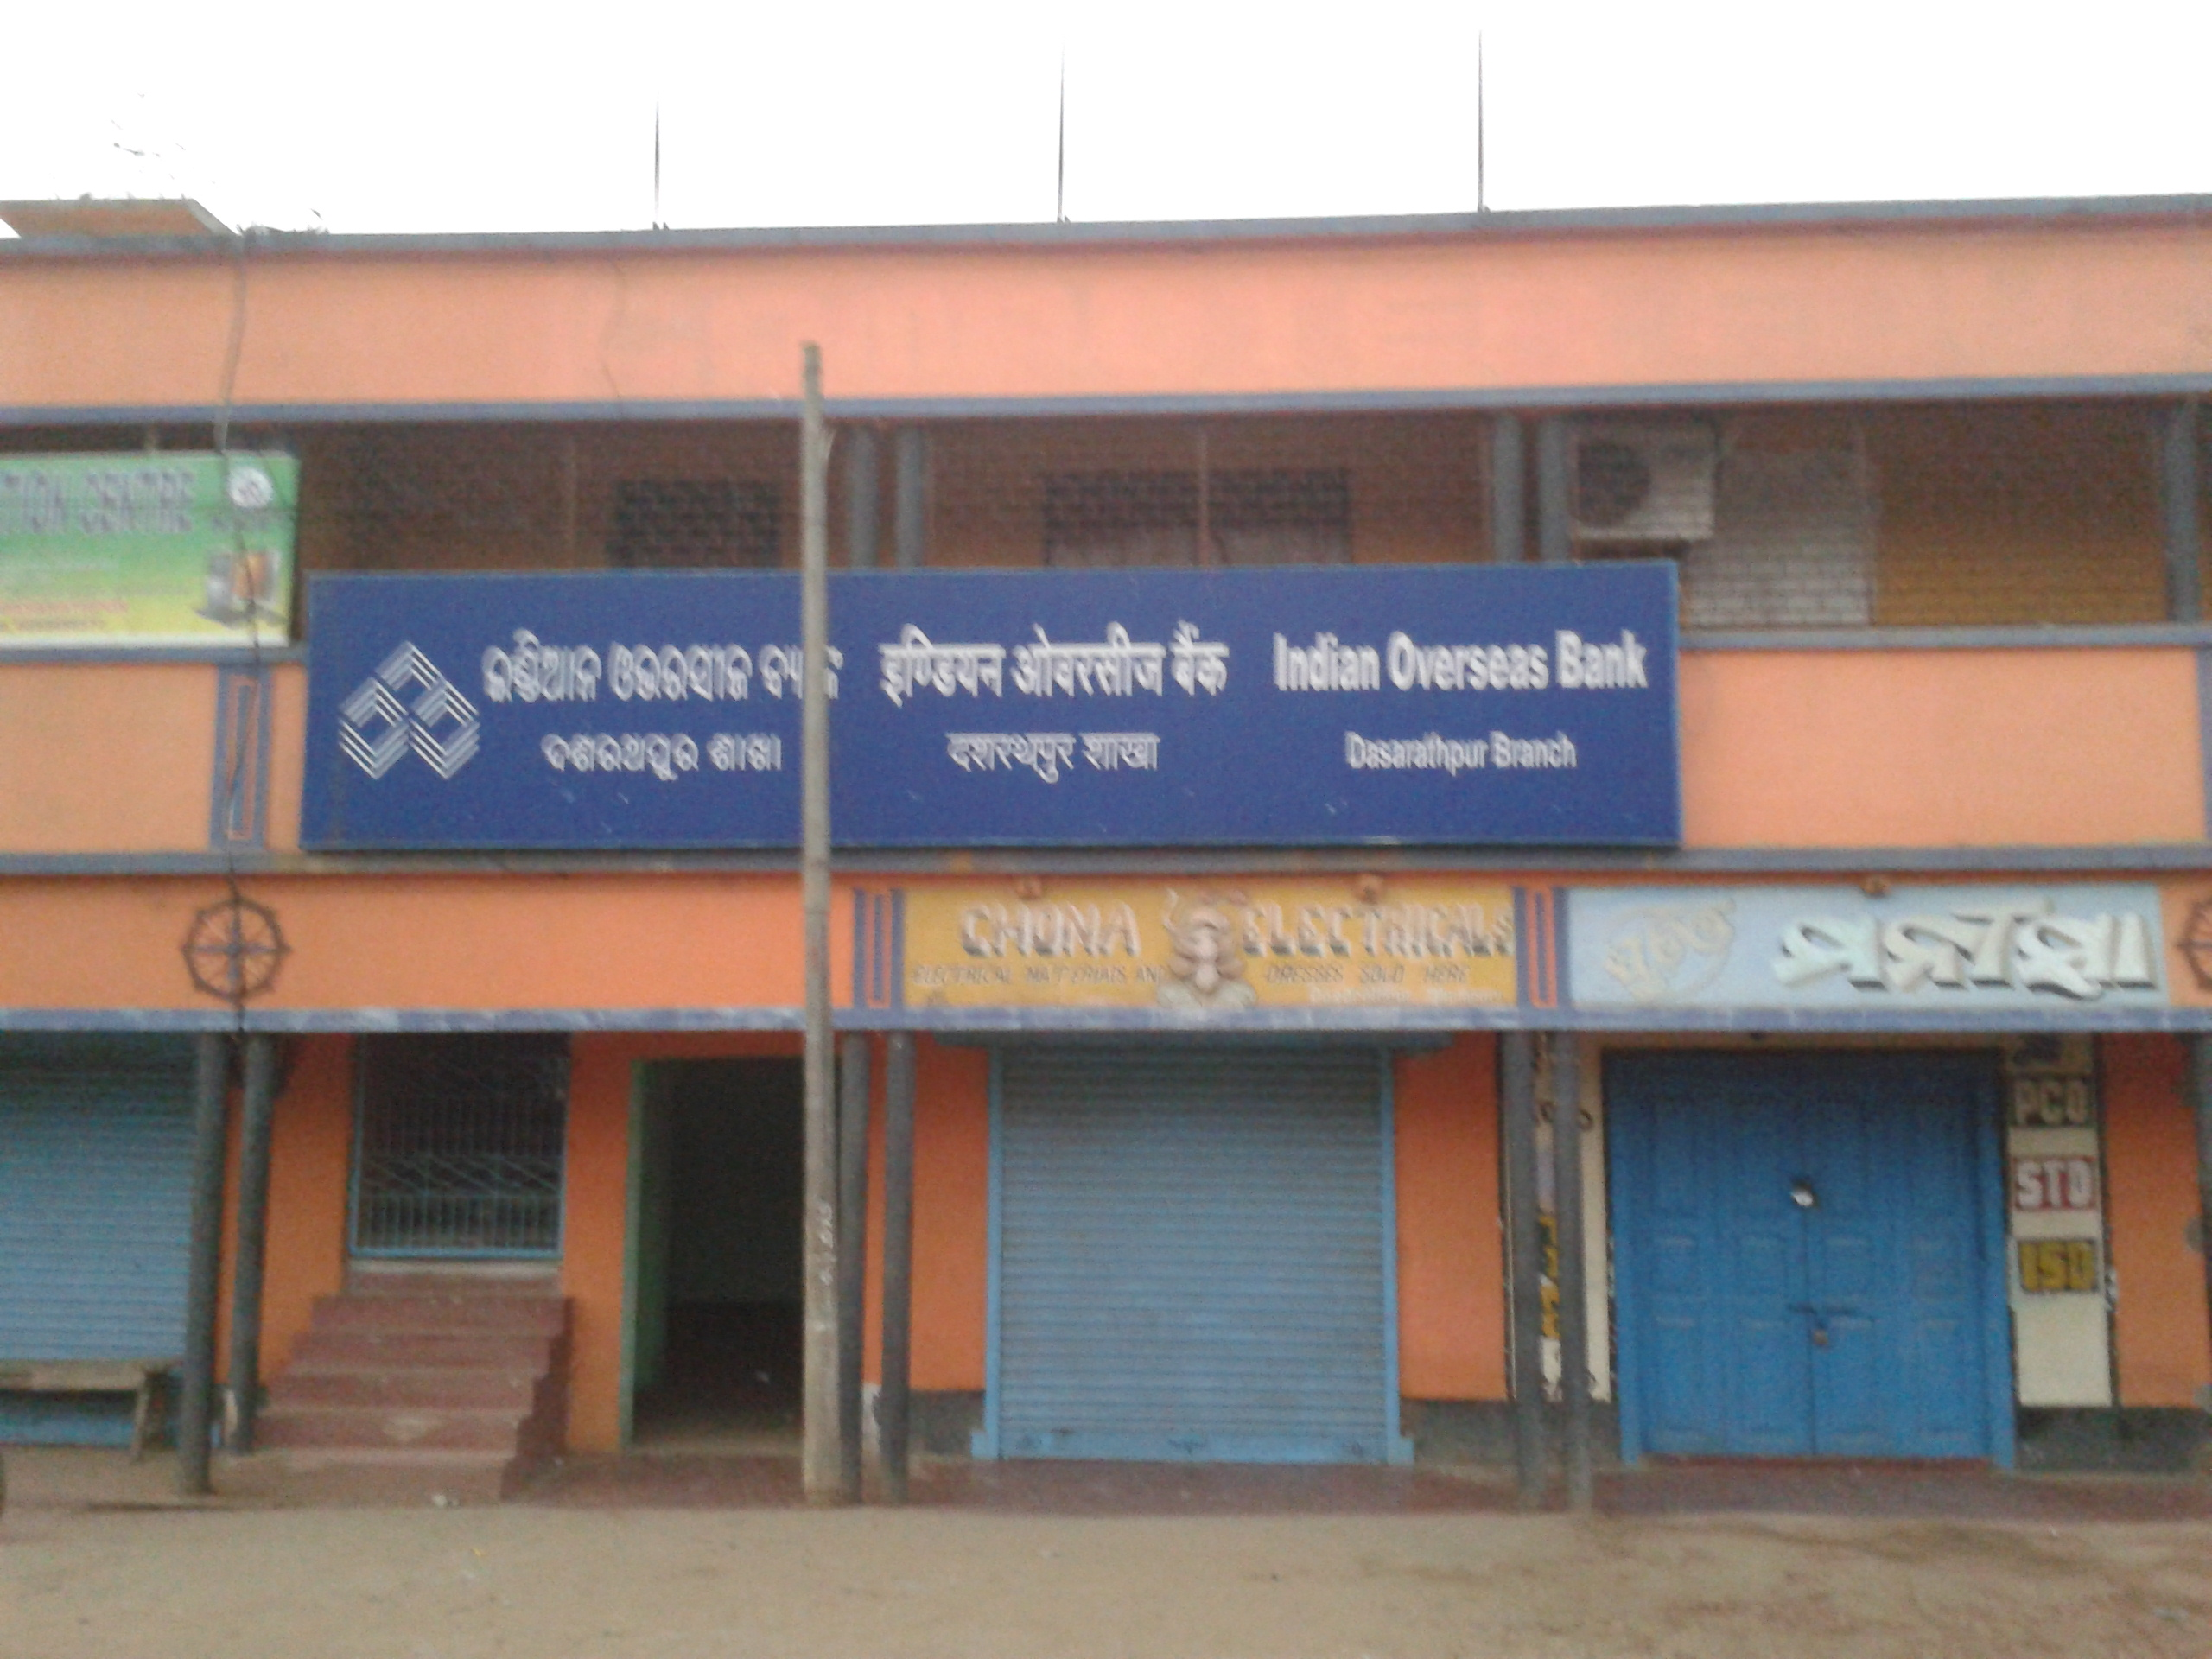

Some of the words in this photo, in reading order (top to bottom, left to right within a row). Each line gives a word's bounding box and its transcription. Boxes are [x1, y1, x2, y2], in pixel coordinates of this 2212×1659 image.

[75, 460, 196, 543] CENTRE
[473, 625, 607, 717] ଇଣ୍ଡିଆନ
[604, 639, 758, 706] ଓଭରସୀକ
[876, 620, 1010, 710] इण्डियन
[1008, 613, 1166, 702] ओवरसीज
[1156, 608, 1231, 702] बैंक
[1253, 620, 1387, 708] Indian
[1382, 625, 1556, 696] Overseas
[1545, 620, 1656, 703] Bank
[536, 728, 702, 785] ଦଶରଥପୁର
[704, 726, 791, 782] ଶାଖା
[942, 728, 1078, 790] दशरथपुर
[1075, 728, 1164, 785] शाखा
[1342, 728, 1491, 778] Dasarathpur
[1486, 726, 1579, 775] Branch
[956, 893, 1145, 964] CHONA
[1233, 888, 1522, 965] ELECTRICALS
[908, 959, 1015, 992] electrical
[1013, 960, 1137, 991] materials
[1255, 958, 1351, 992] DRESSES
[1349, 959, 1411, 994] sold
[1412, 960, 1475, 993] HERE